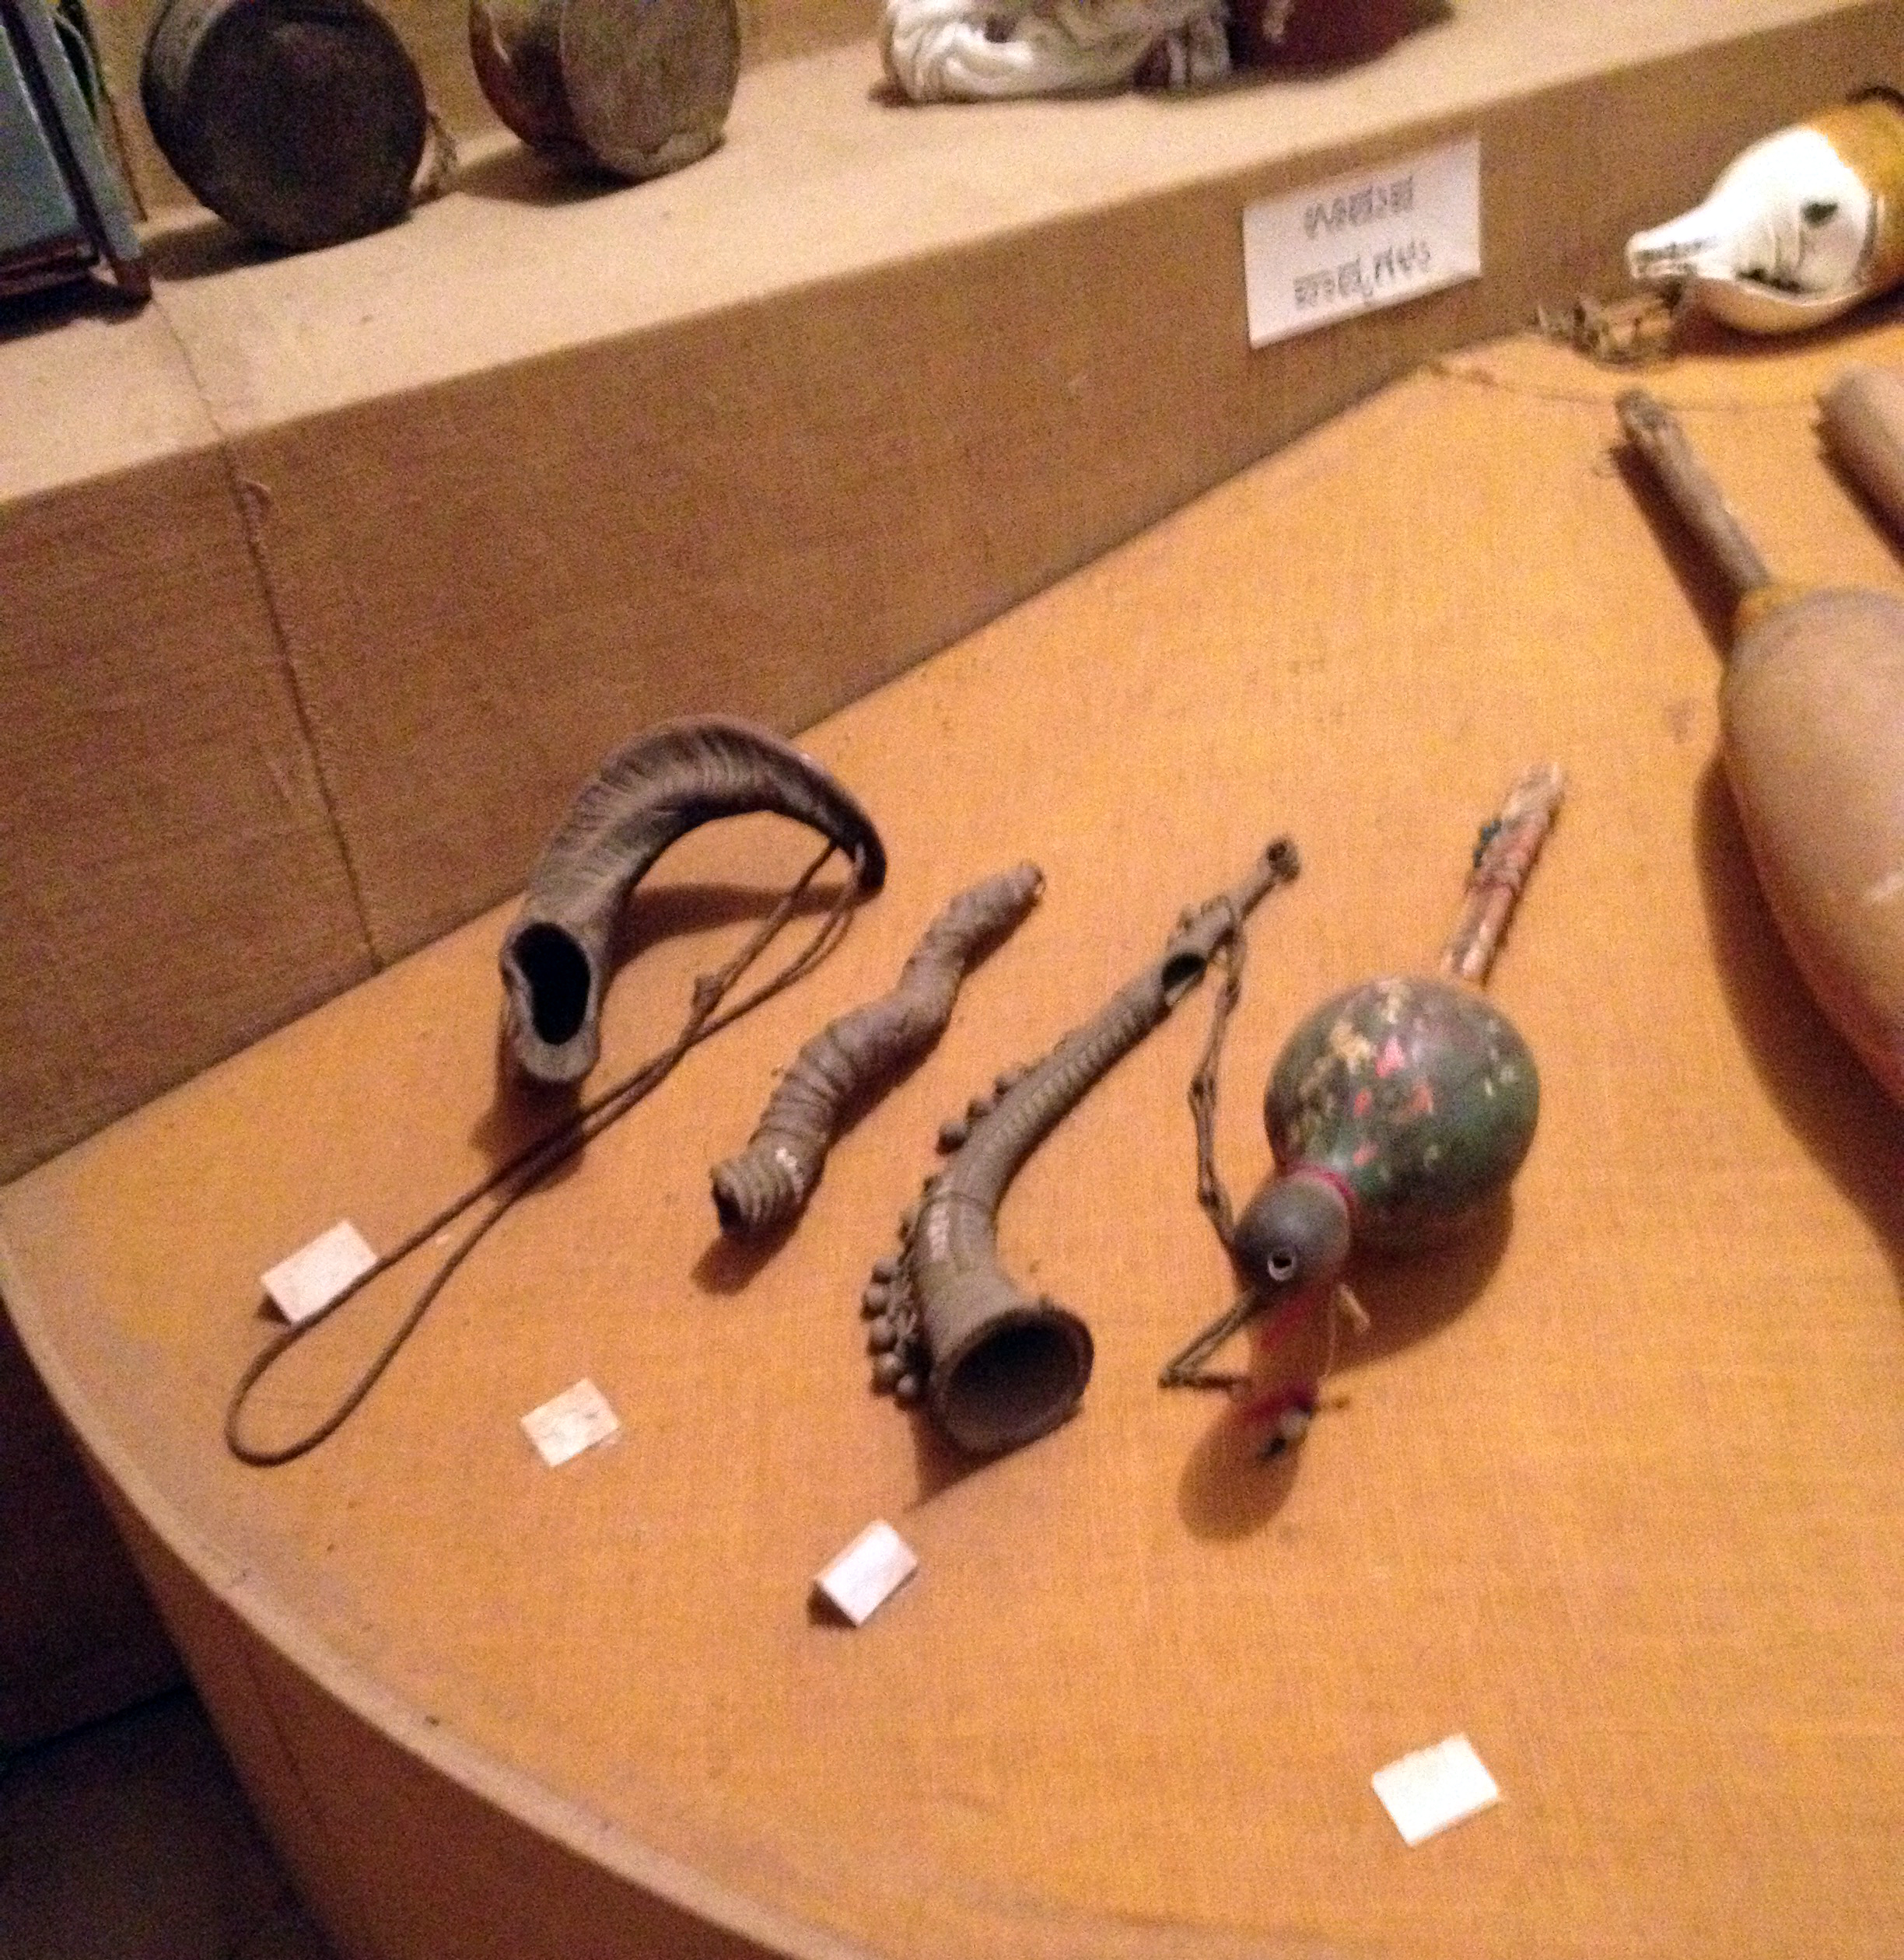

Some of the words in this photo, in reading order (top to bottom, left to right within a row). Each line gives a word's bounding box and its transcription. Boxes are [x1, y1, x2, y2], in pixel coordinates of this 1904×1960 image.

[1290, 162, 1425, 249] MAXI